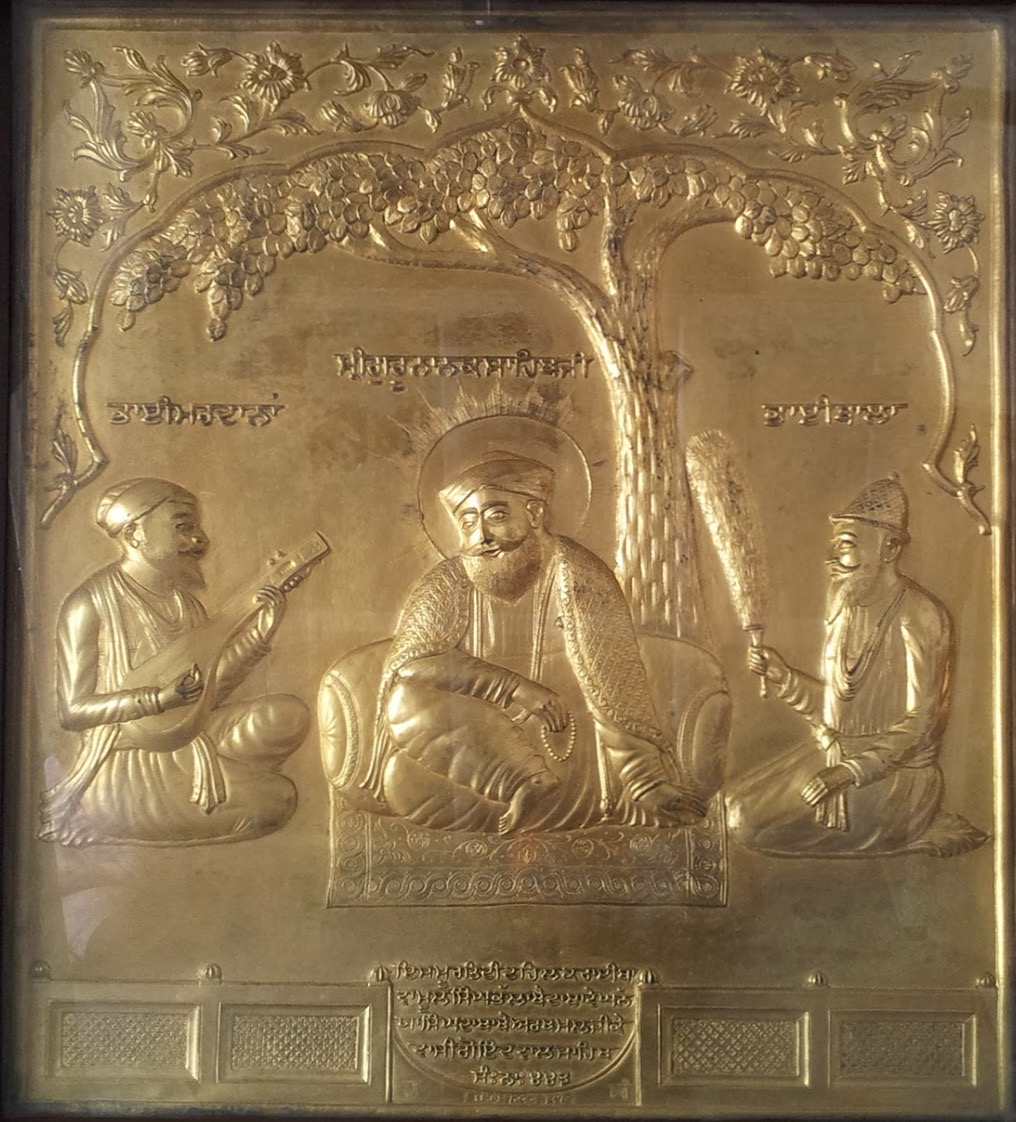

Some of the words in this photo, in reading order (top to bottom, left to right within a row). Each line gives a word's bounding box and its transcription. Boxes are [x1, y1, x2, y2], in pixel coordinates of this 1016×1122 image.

[323, 341, 601, 394] ਸ੍ਰੀਗੁਰੂਨਾਨਕਸਾਹਿਬਜੀ
[97, 387, 290, 438] ਡਾਈਮਰਦਾਨਾਂ
[753, 390, 915, 431] ਭਾਈਬਾਲਾ